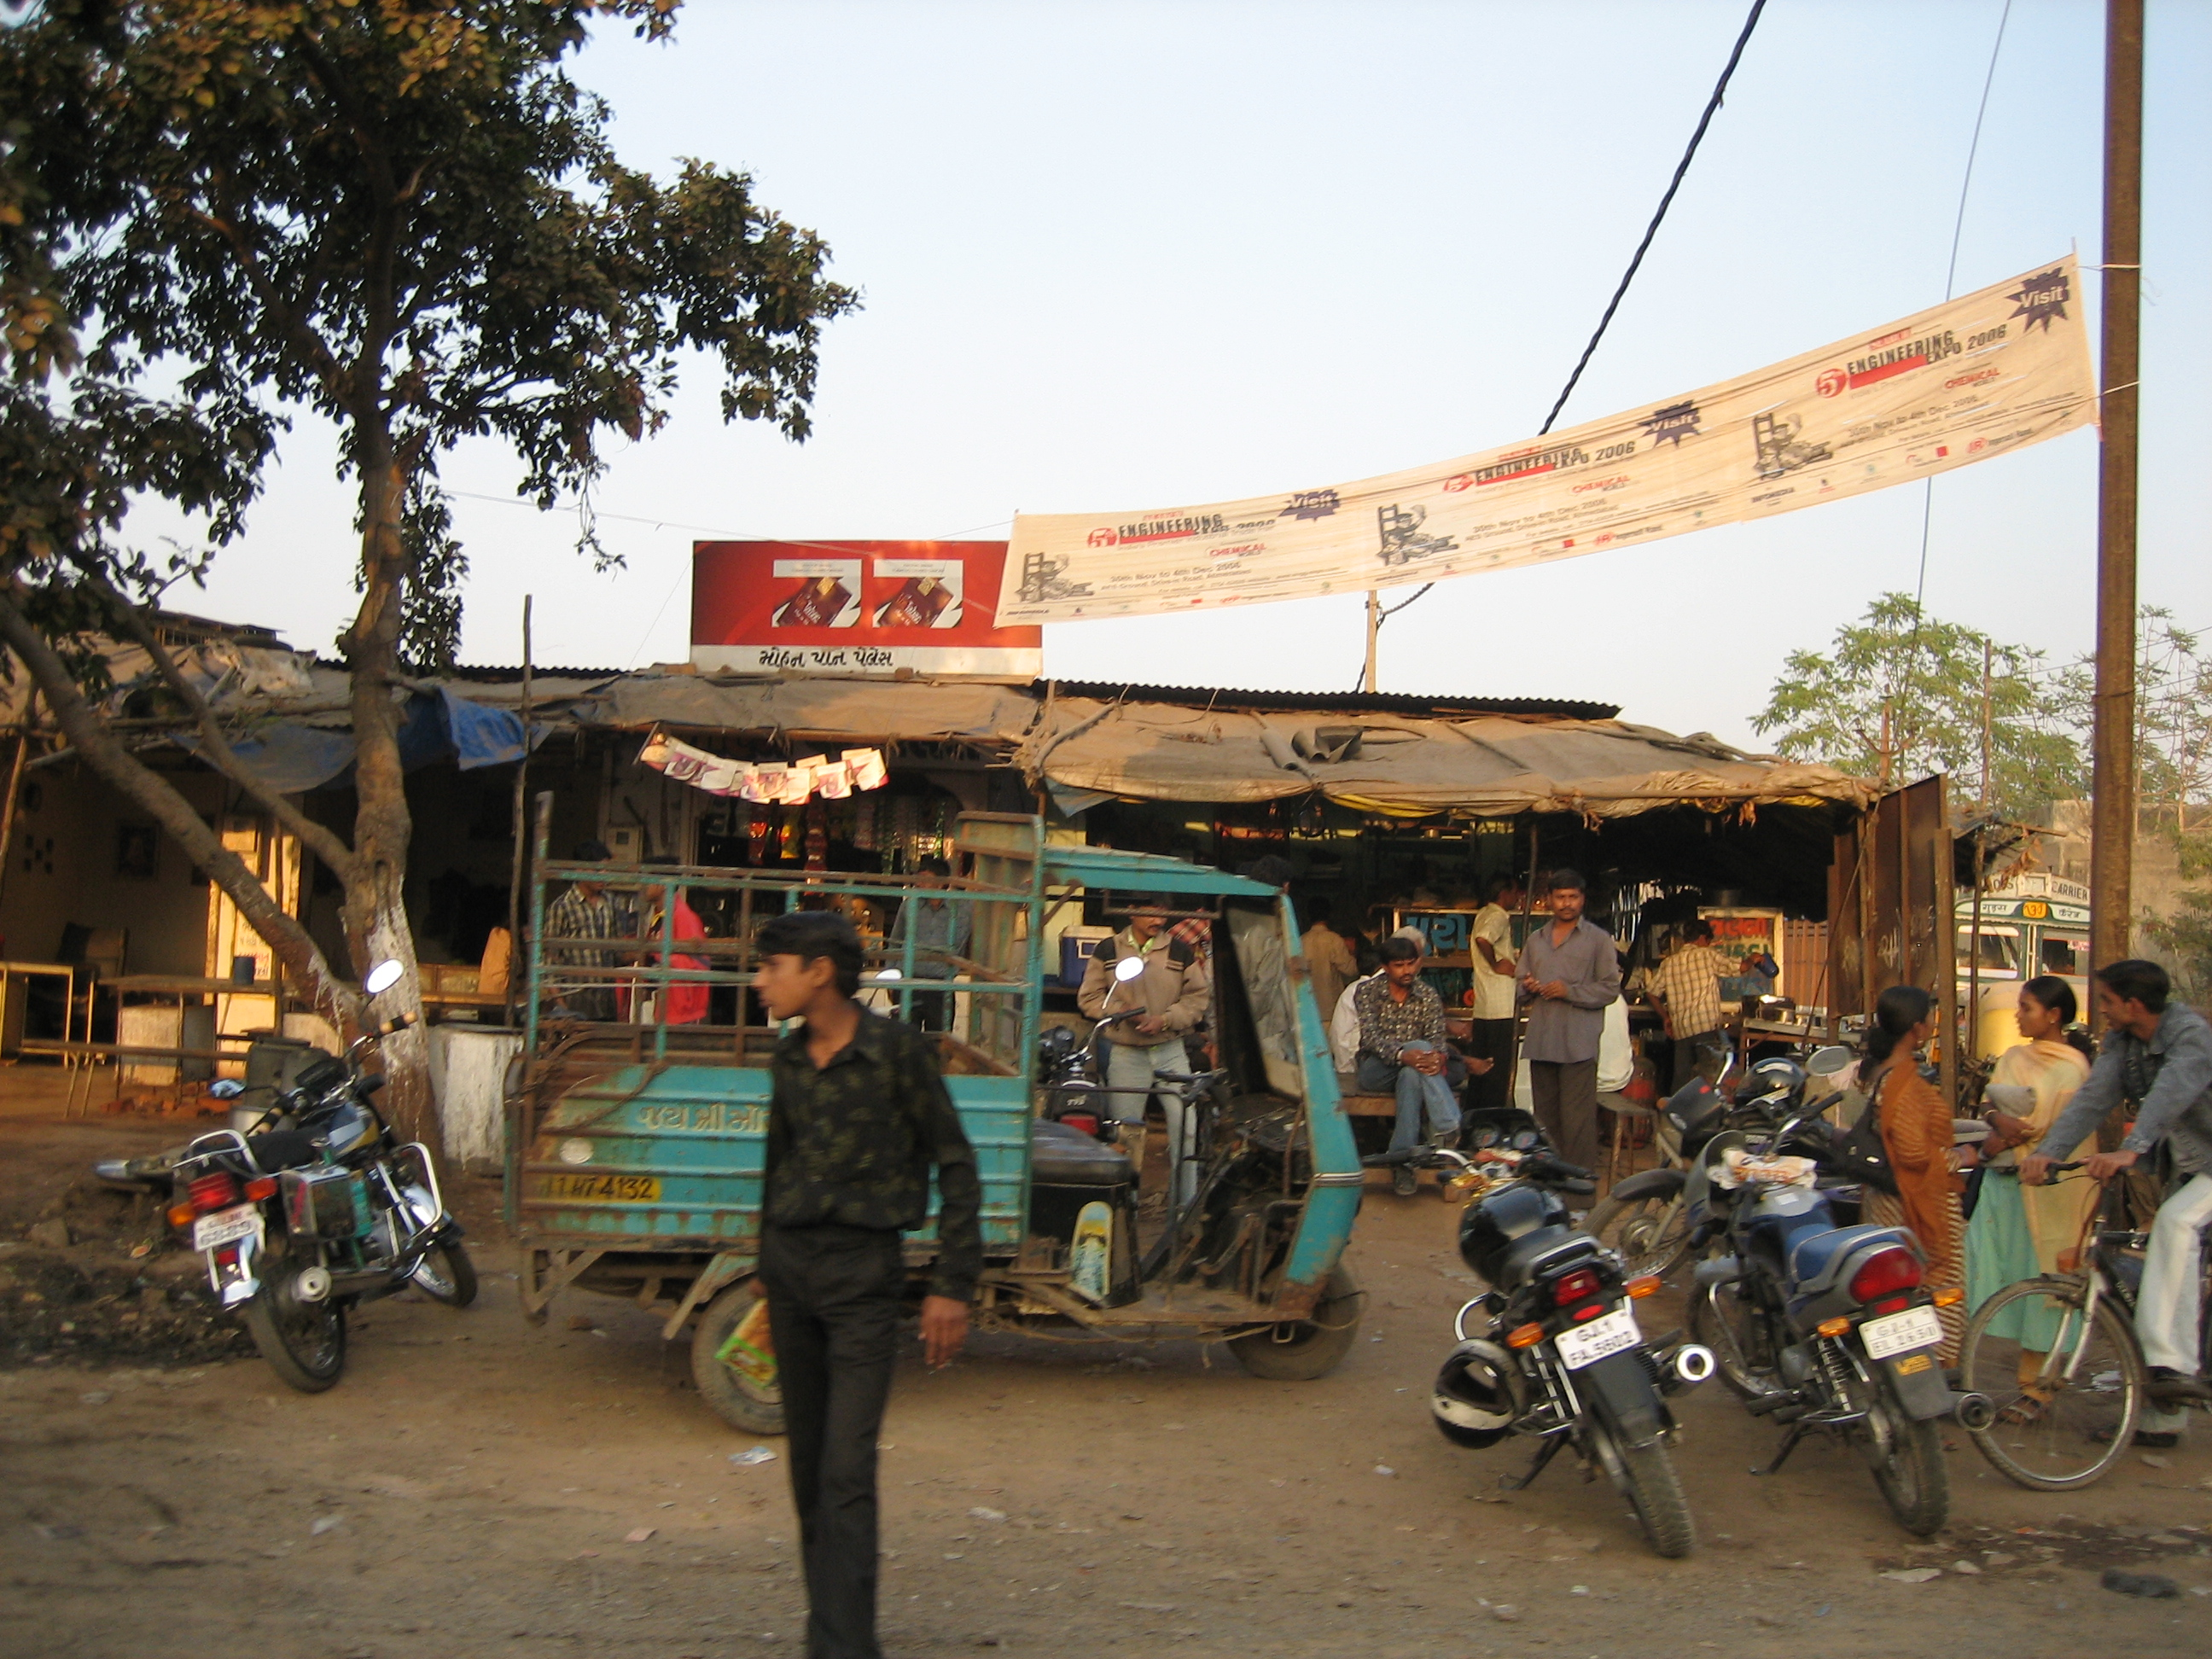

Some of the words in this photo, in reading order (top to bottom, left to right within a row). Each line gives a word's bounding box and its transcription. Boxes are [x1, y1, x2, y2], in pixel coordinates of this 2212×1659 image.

[754, 640, 800, 667] મોહન
[805, 644, 845, 667] પાન
[850, 644, 894, 669] પેલેસ
[618, 1179, 654, 1197] 42